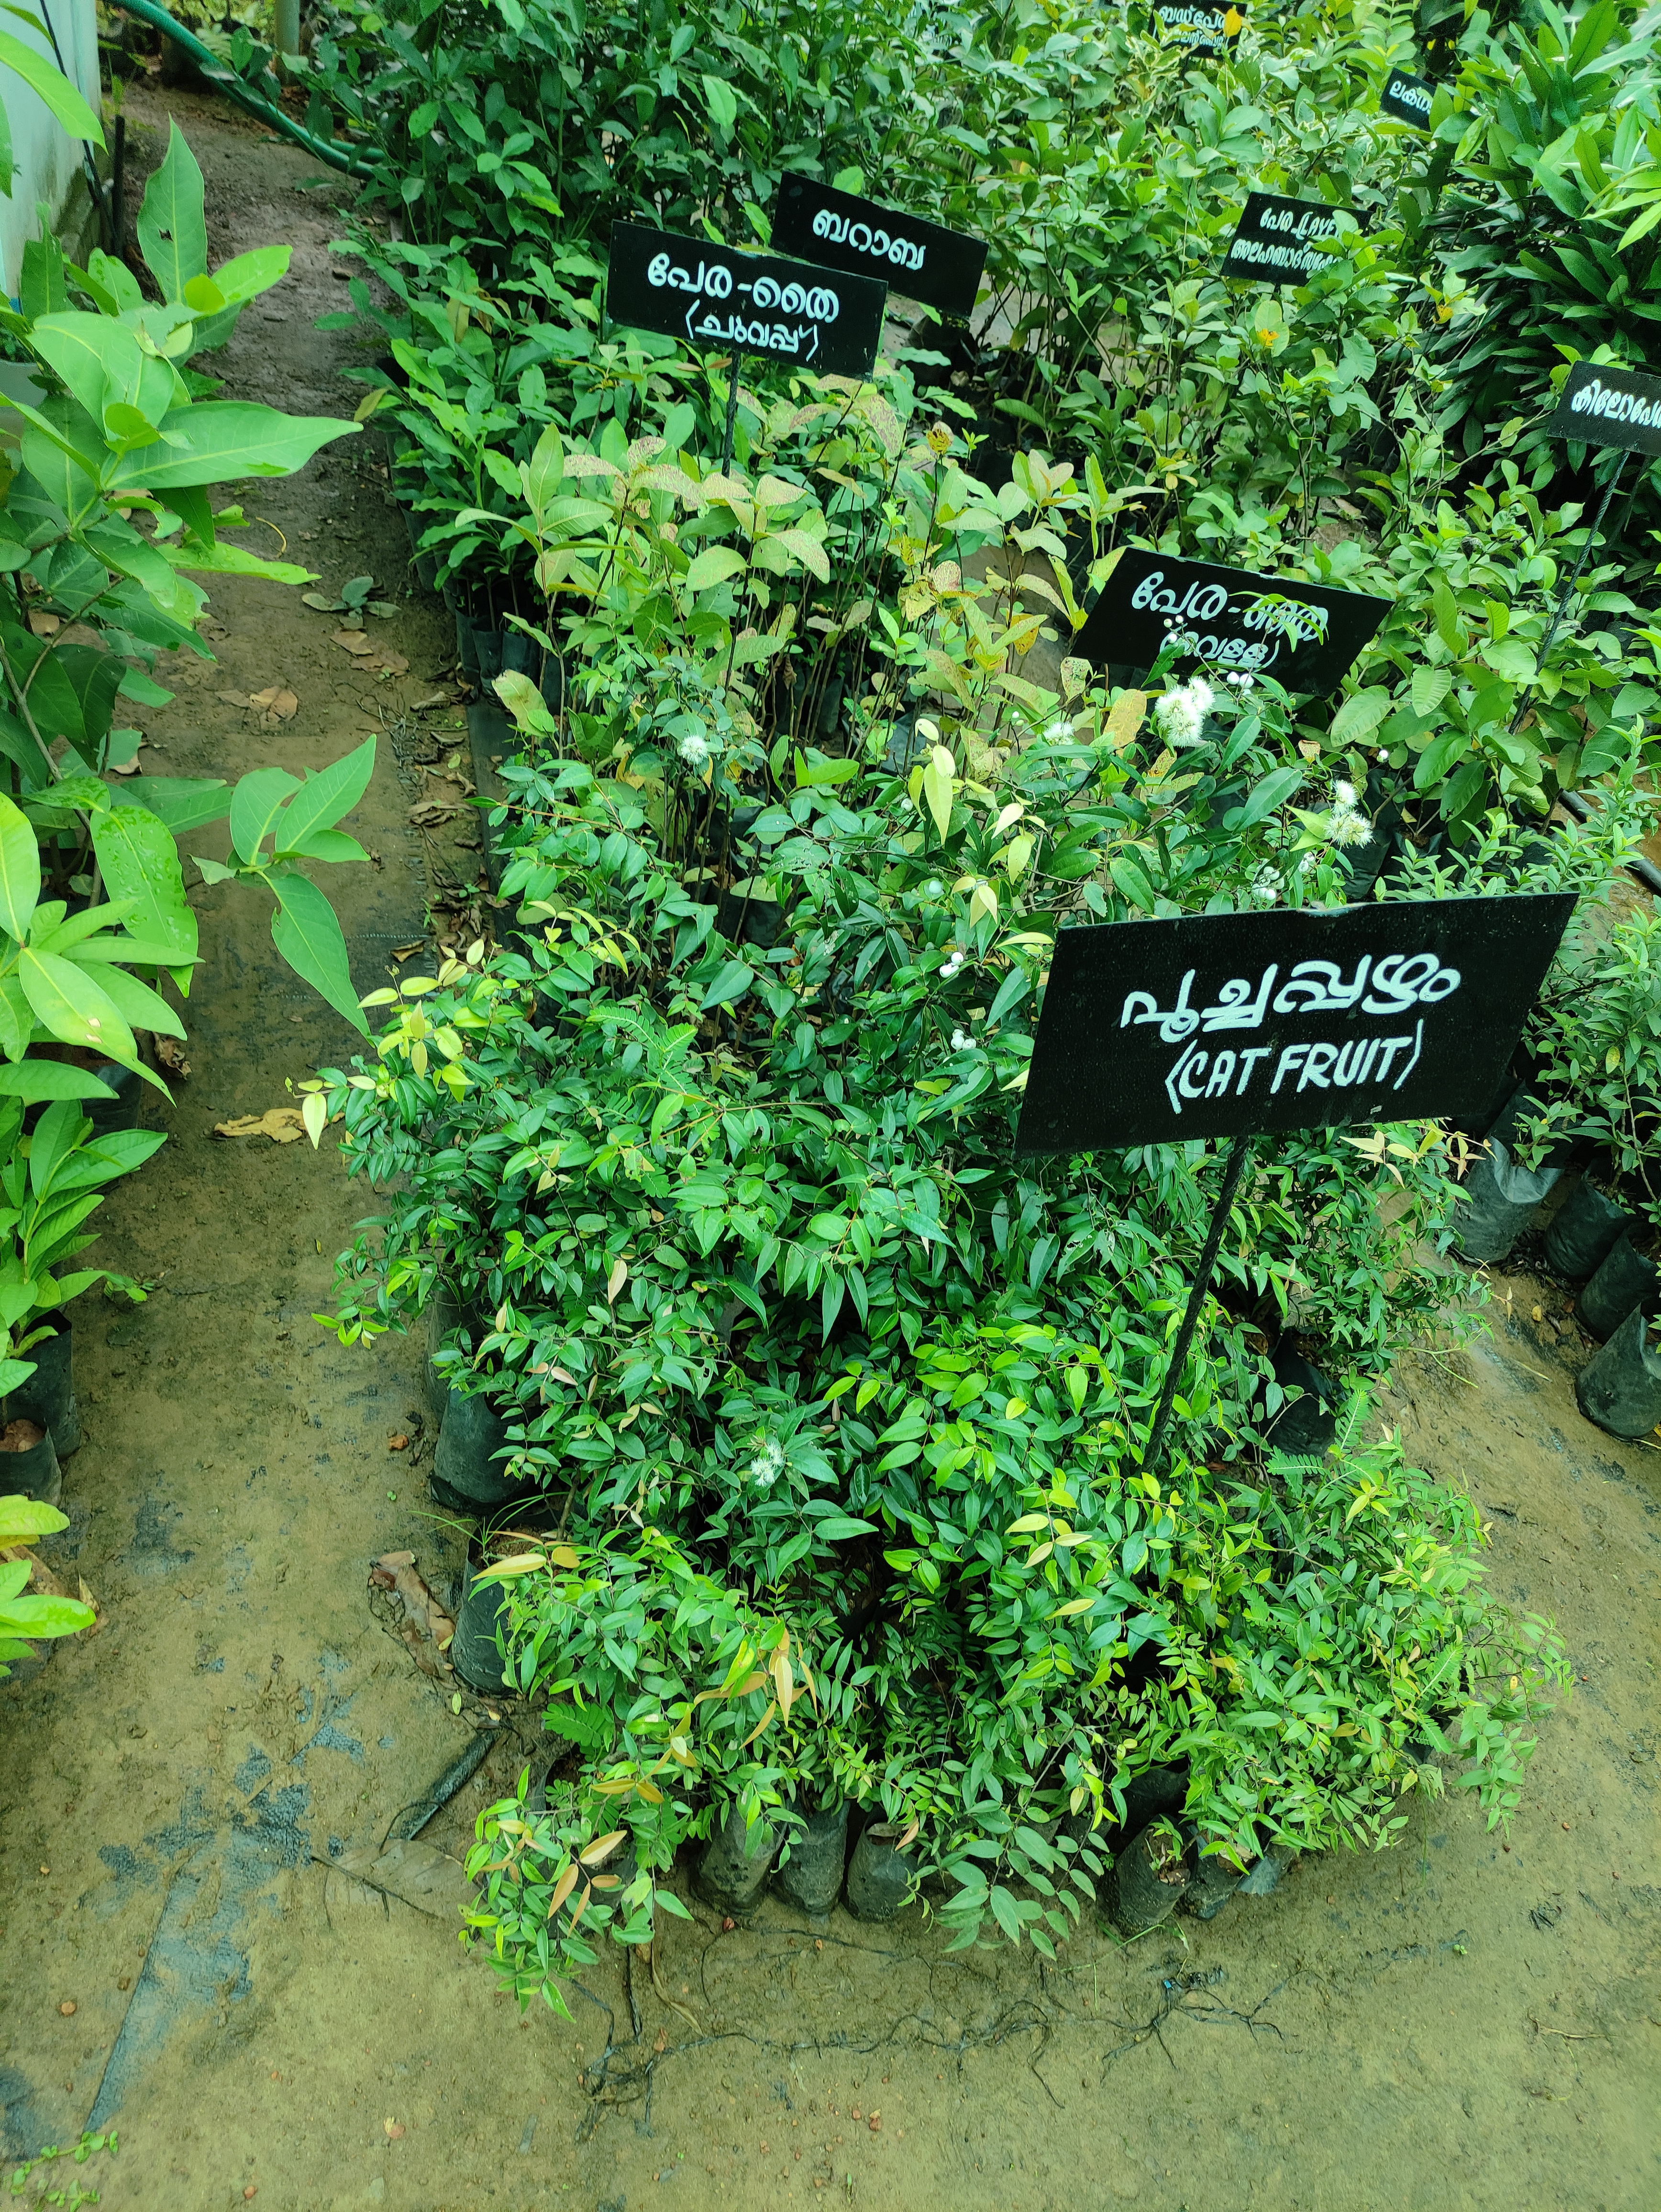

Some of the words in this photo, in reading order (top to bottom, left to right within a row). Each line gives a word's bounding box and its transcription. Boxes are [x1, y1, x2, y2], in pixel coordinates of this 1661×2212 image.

[1151, 1, 1232, 33] ബഡ്പേ
[1384, 78, 1442, 118] ലക്‌ന
[807, 202, 931, 272] ബറാബ
[1251, 202, 1346, 248] പേര-(LAYF
[640, 243, 740, 300] പേര
[744, 270, 847, 327] തൈ
[687, 308, 816, 356] ചംവപ്പ്
[1124, 568, 1235, 626] പേര
[1160, 620, 1274, 675] (വെള്ള)
[1239, 590, 1335, 648] തെെ
[1114, 947, 1471, 1048] പൂച്ചവഴം
[1168, 1047, 1269, 1101] CAT
[1266, 1036, 1418, 1098] FRUIT